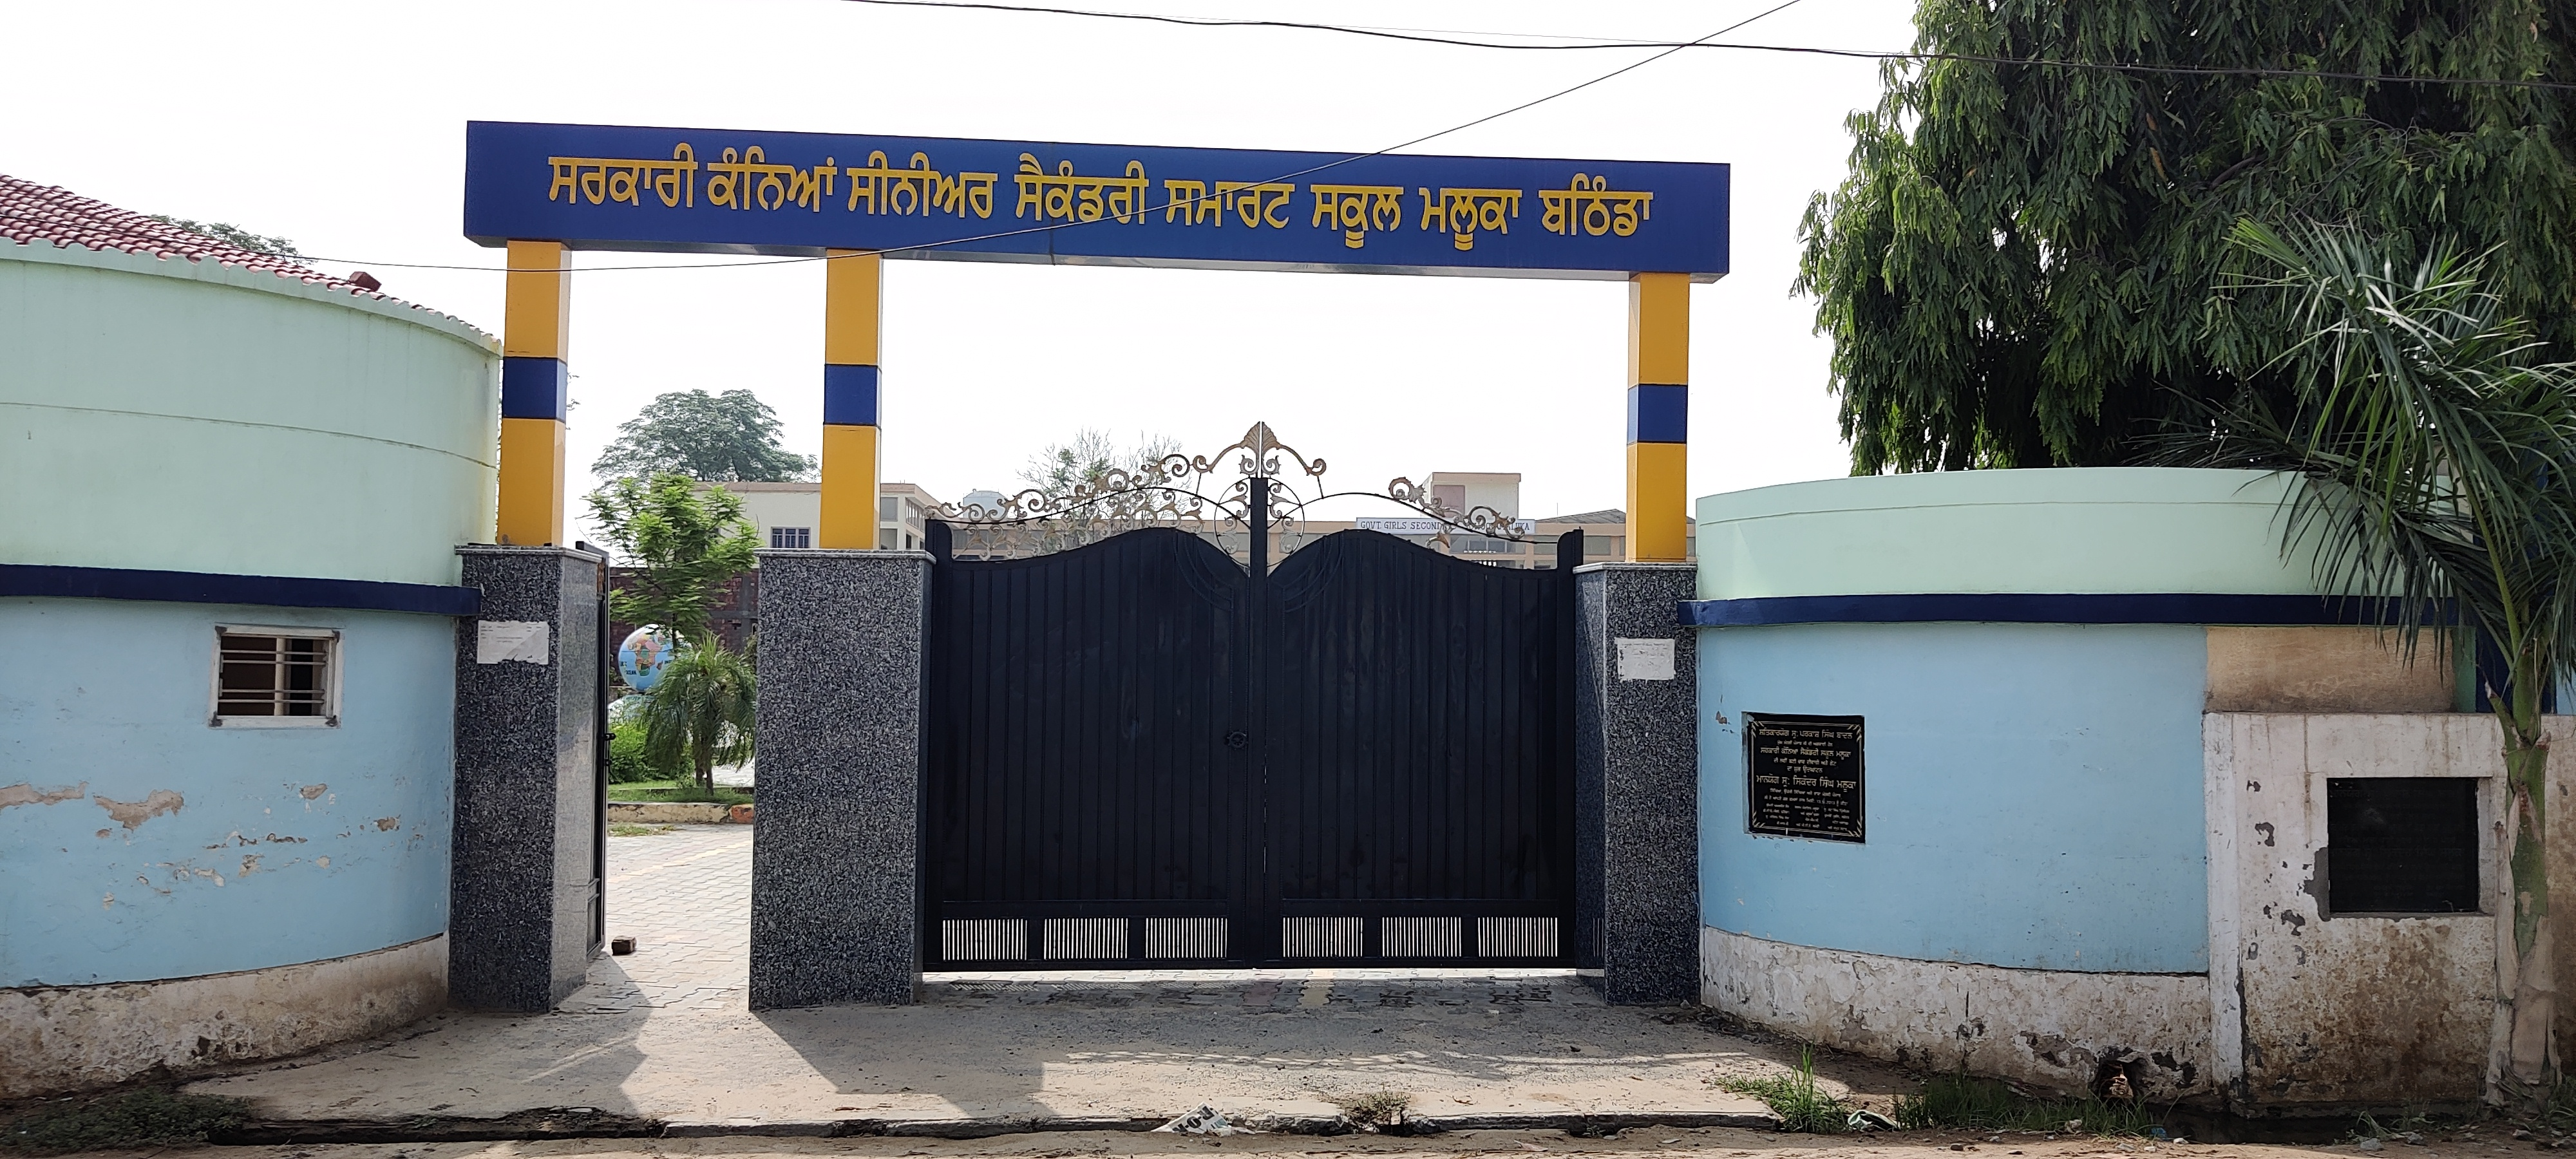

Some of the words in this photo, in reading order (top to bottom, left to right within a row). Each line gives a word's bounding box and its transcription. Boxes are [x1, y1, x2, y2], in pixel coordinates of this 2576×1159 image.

[530, 138, 702, 215] ਸਰਕਾਰੀ
[699, 138, 841, 218] ਕੰਨਿਆਂ
[838, 145, 1004, 221] ਸੀਨੀਅਰ
[1005, 146, 1157, 229] ਸੈਕੰਡਰੀ
[1155, 170, 1300, 235] ਸਮਾਰਟ
[1303, 174, 1412, 254] ਸਕੂਲ
[1410, 182, 1531, 259] ਮਲੂਕਾ
[1534, 167, 1658, 249] ਬਠਿੰਡਾ
[1754, 770, 1780, 786] ਮਾਨਯੋਗ
[1780, 774, 1792, 788] ਸੁਃ
[1792, 773, 1819, 789] ਸਿਕੰਦਰ
[1818, 775, 1836, 789] ਸਿੰਘ
[1835, 777, 1859, 795] ਮਲੂਕਾ